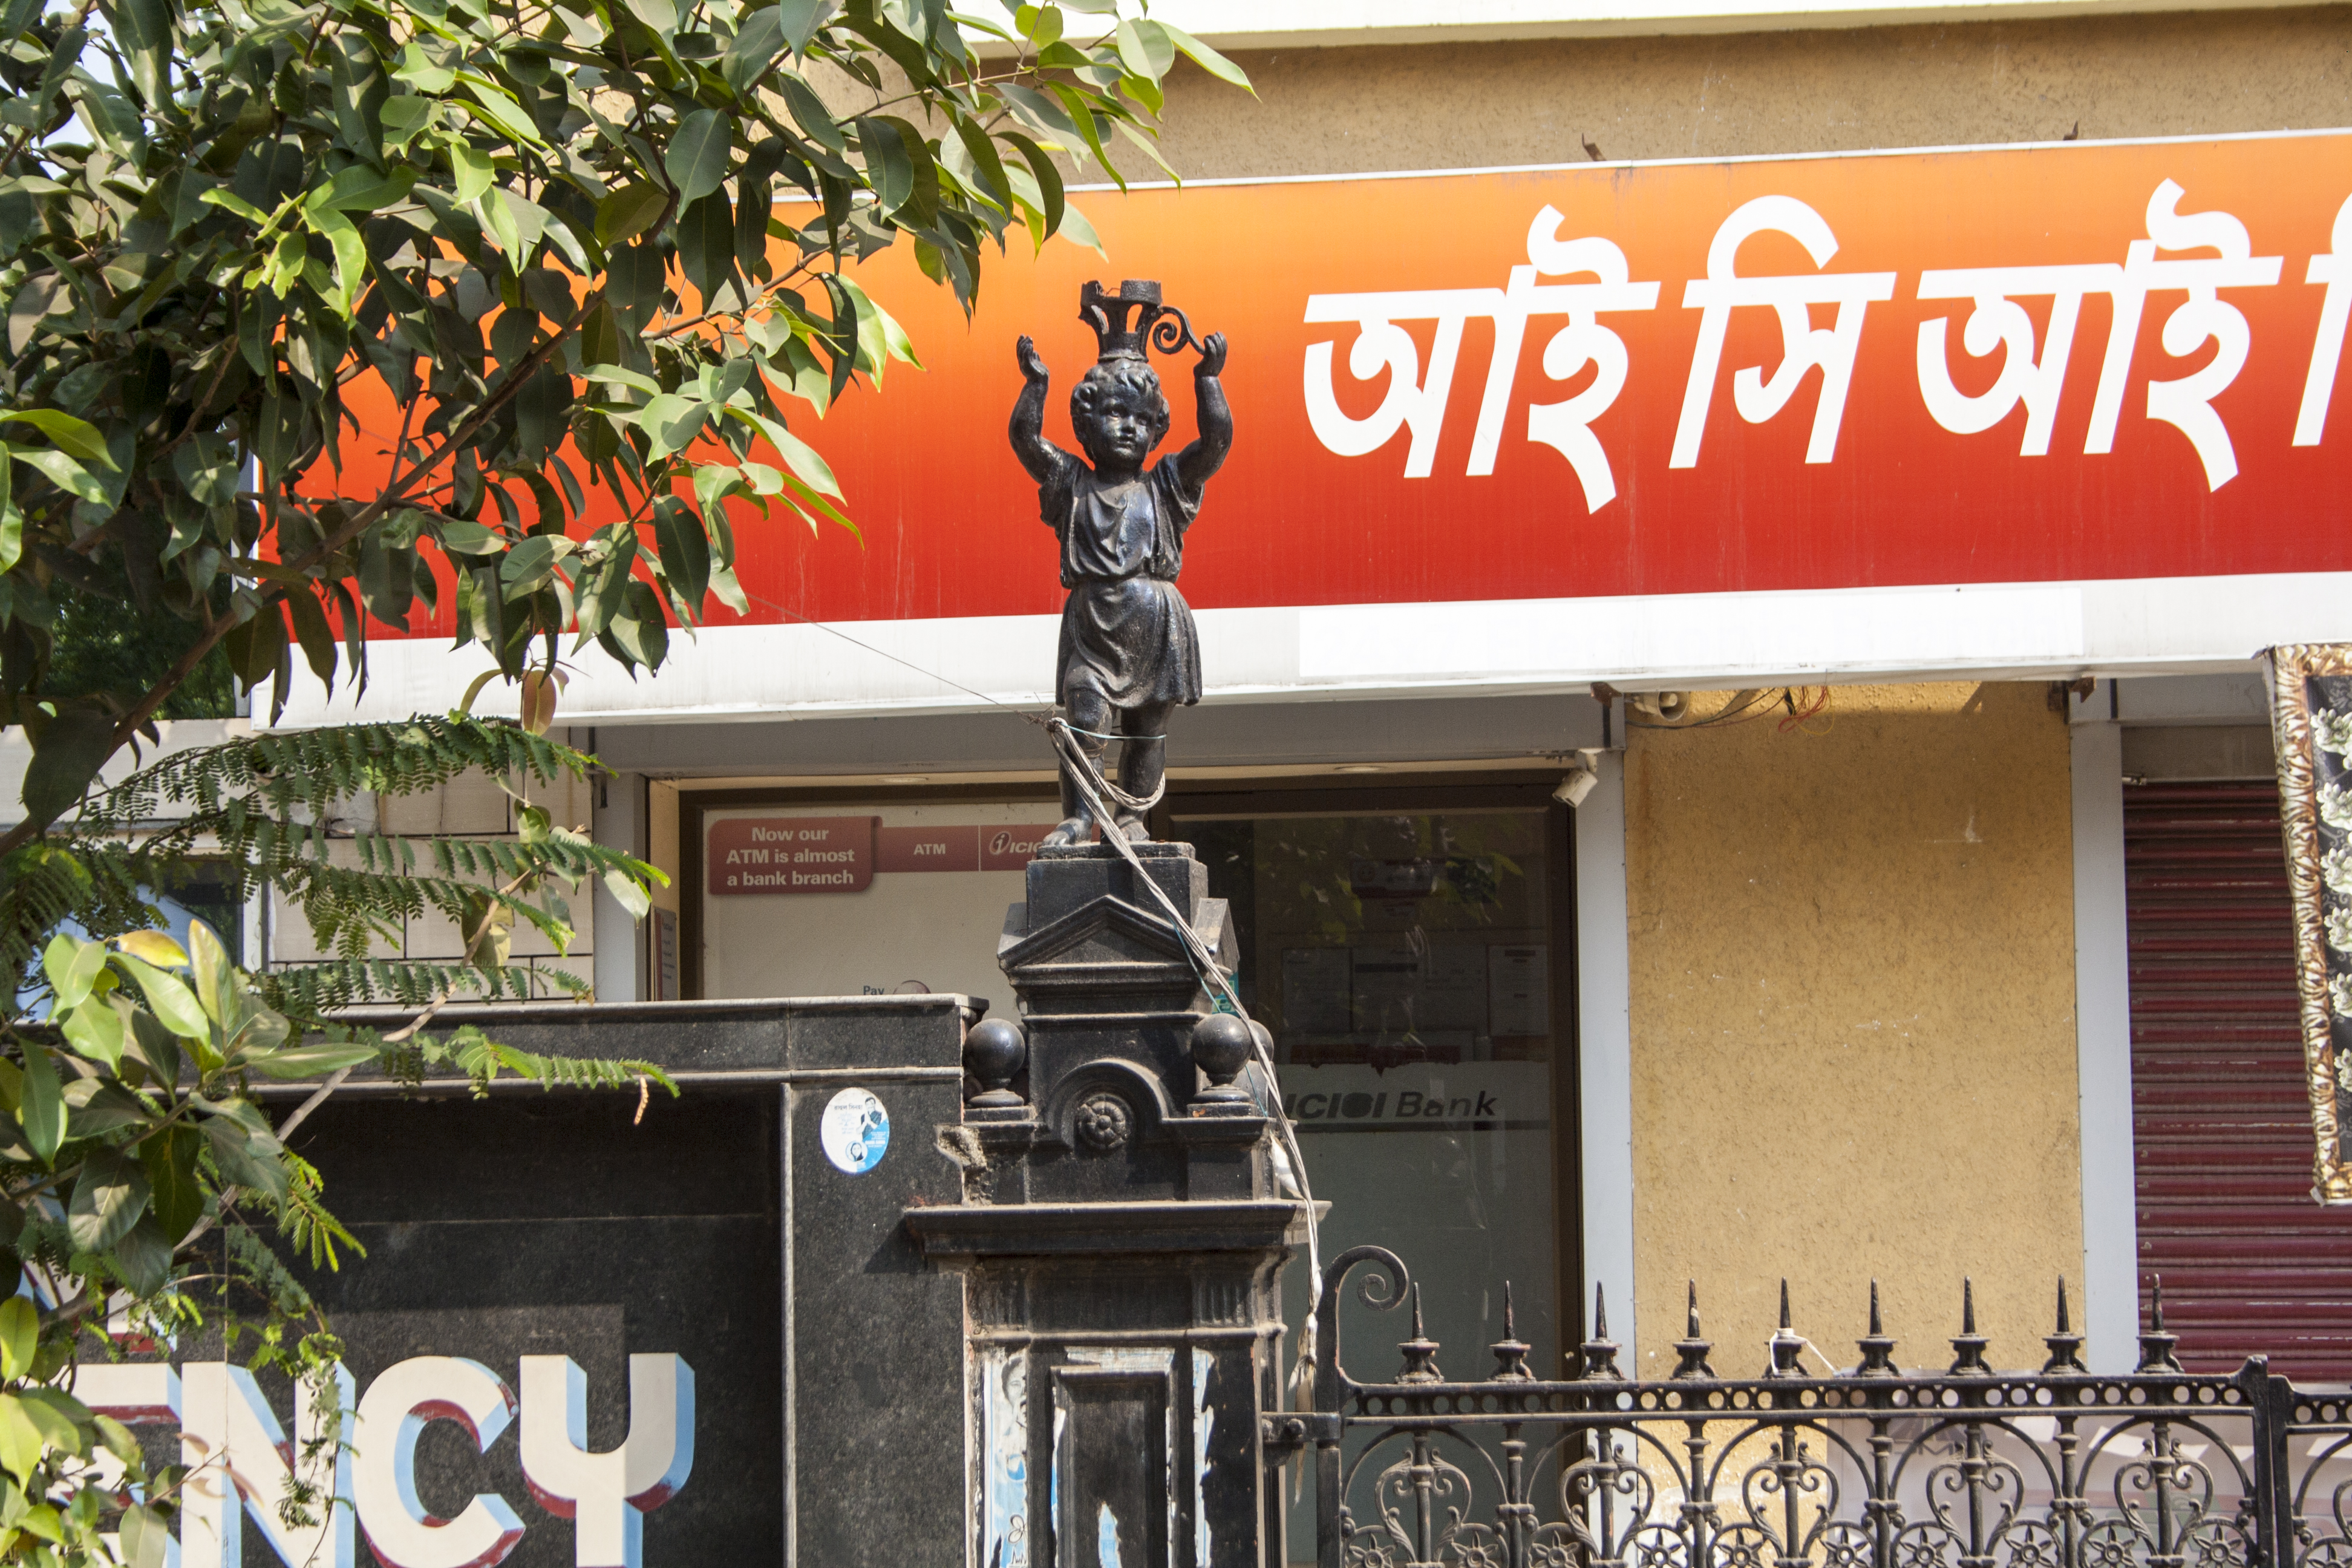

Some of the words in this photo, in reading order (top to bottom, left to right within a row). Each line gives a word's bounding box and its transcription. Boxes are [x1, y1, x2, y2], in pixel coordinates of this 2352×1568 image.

[1661, 162, 1914, 484] সি
[1909, 160, 2299, 511] আই
[1296, 177, 1676, 530] আই
[746, 810, 798, 843] Now
[793, 822, 831, 846] our
[724, 840, 771, 867] ATM
[766, 844, 791, 868] is
[791, 844, 855, 866] almost
[904, 838, 951, 862] ATM
[724, 871, 739, 892] a
[741, 867, 791, 889] bank
[789, 866, 857, 889] branch
[1270, 1085, 1396, 1131] ICICI
[1389, 1079, 1503, 1129] Bank